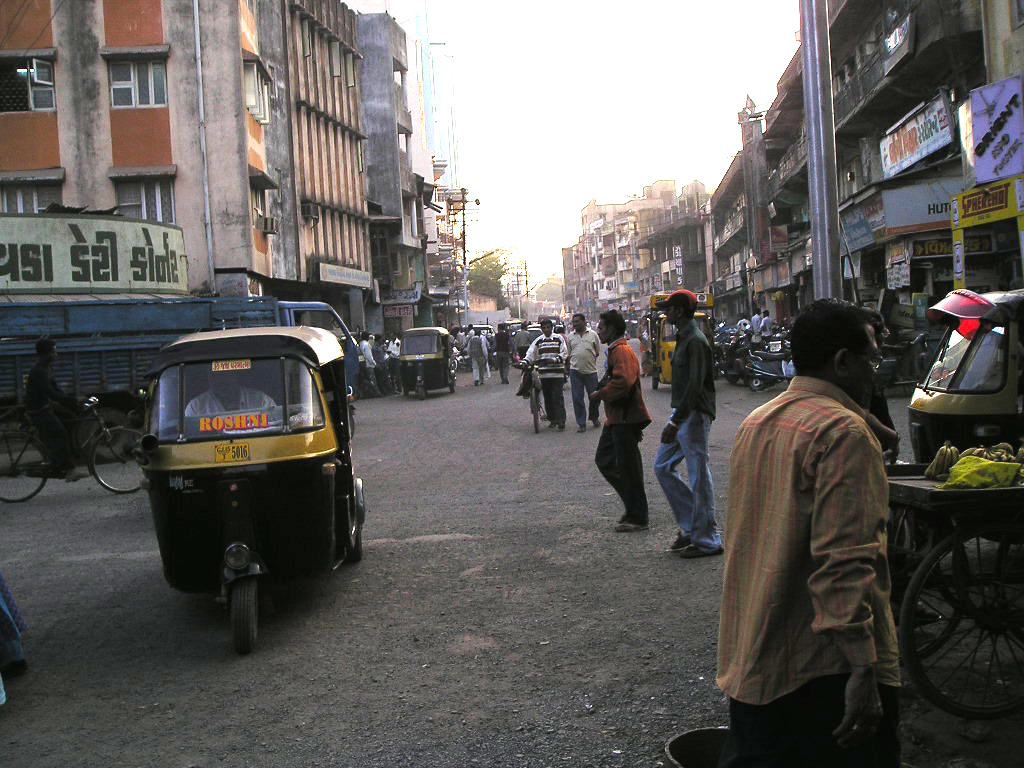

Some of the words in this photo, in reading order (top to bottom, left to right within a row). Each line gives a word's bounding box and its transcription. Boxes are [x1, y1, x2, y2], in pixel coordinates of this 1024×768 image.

[924, 199, 949, 216] HUT
[60, 221, 125, 285] ડેરી
[125, 226, 182, 289] કોર્નર
[194, 411, 272, 435] ROSHNI